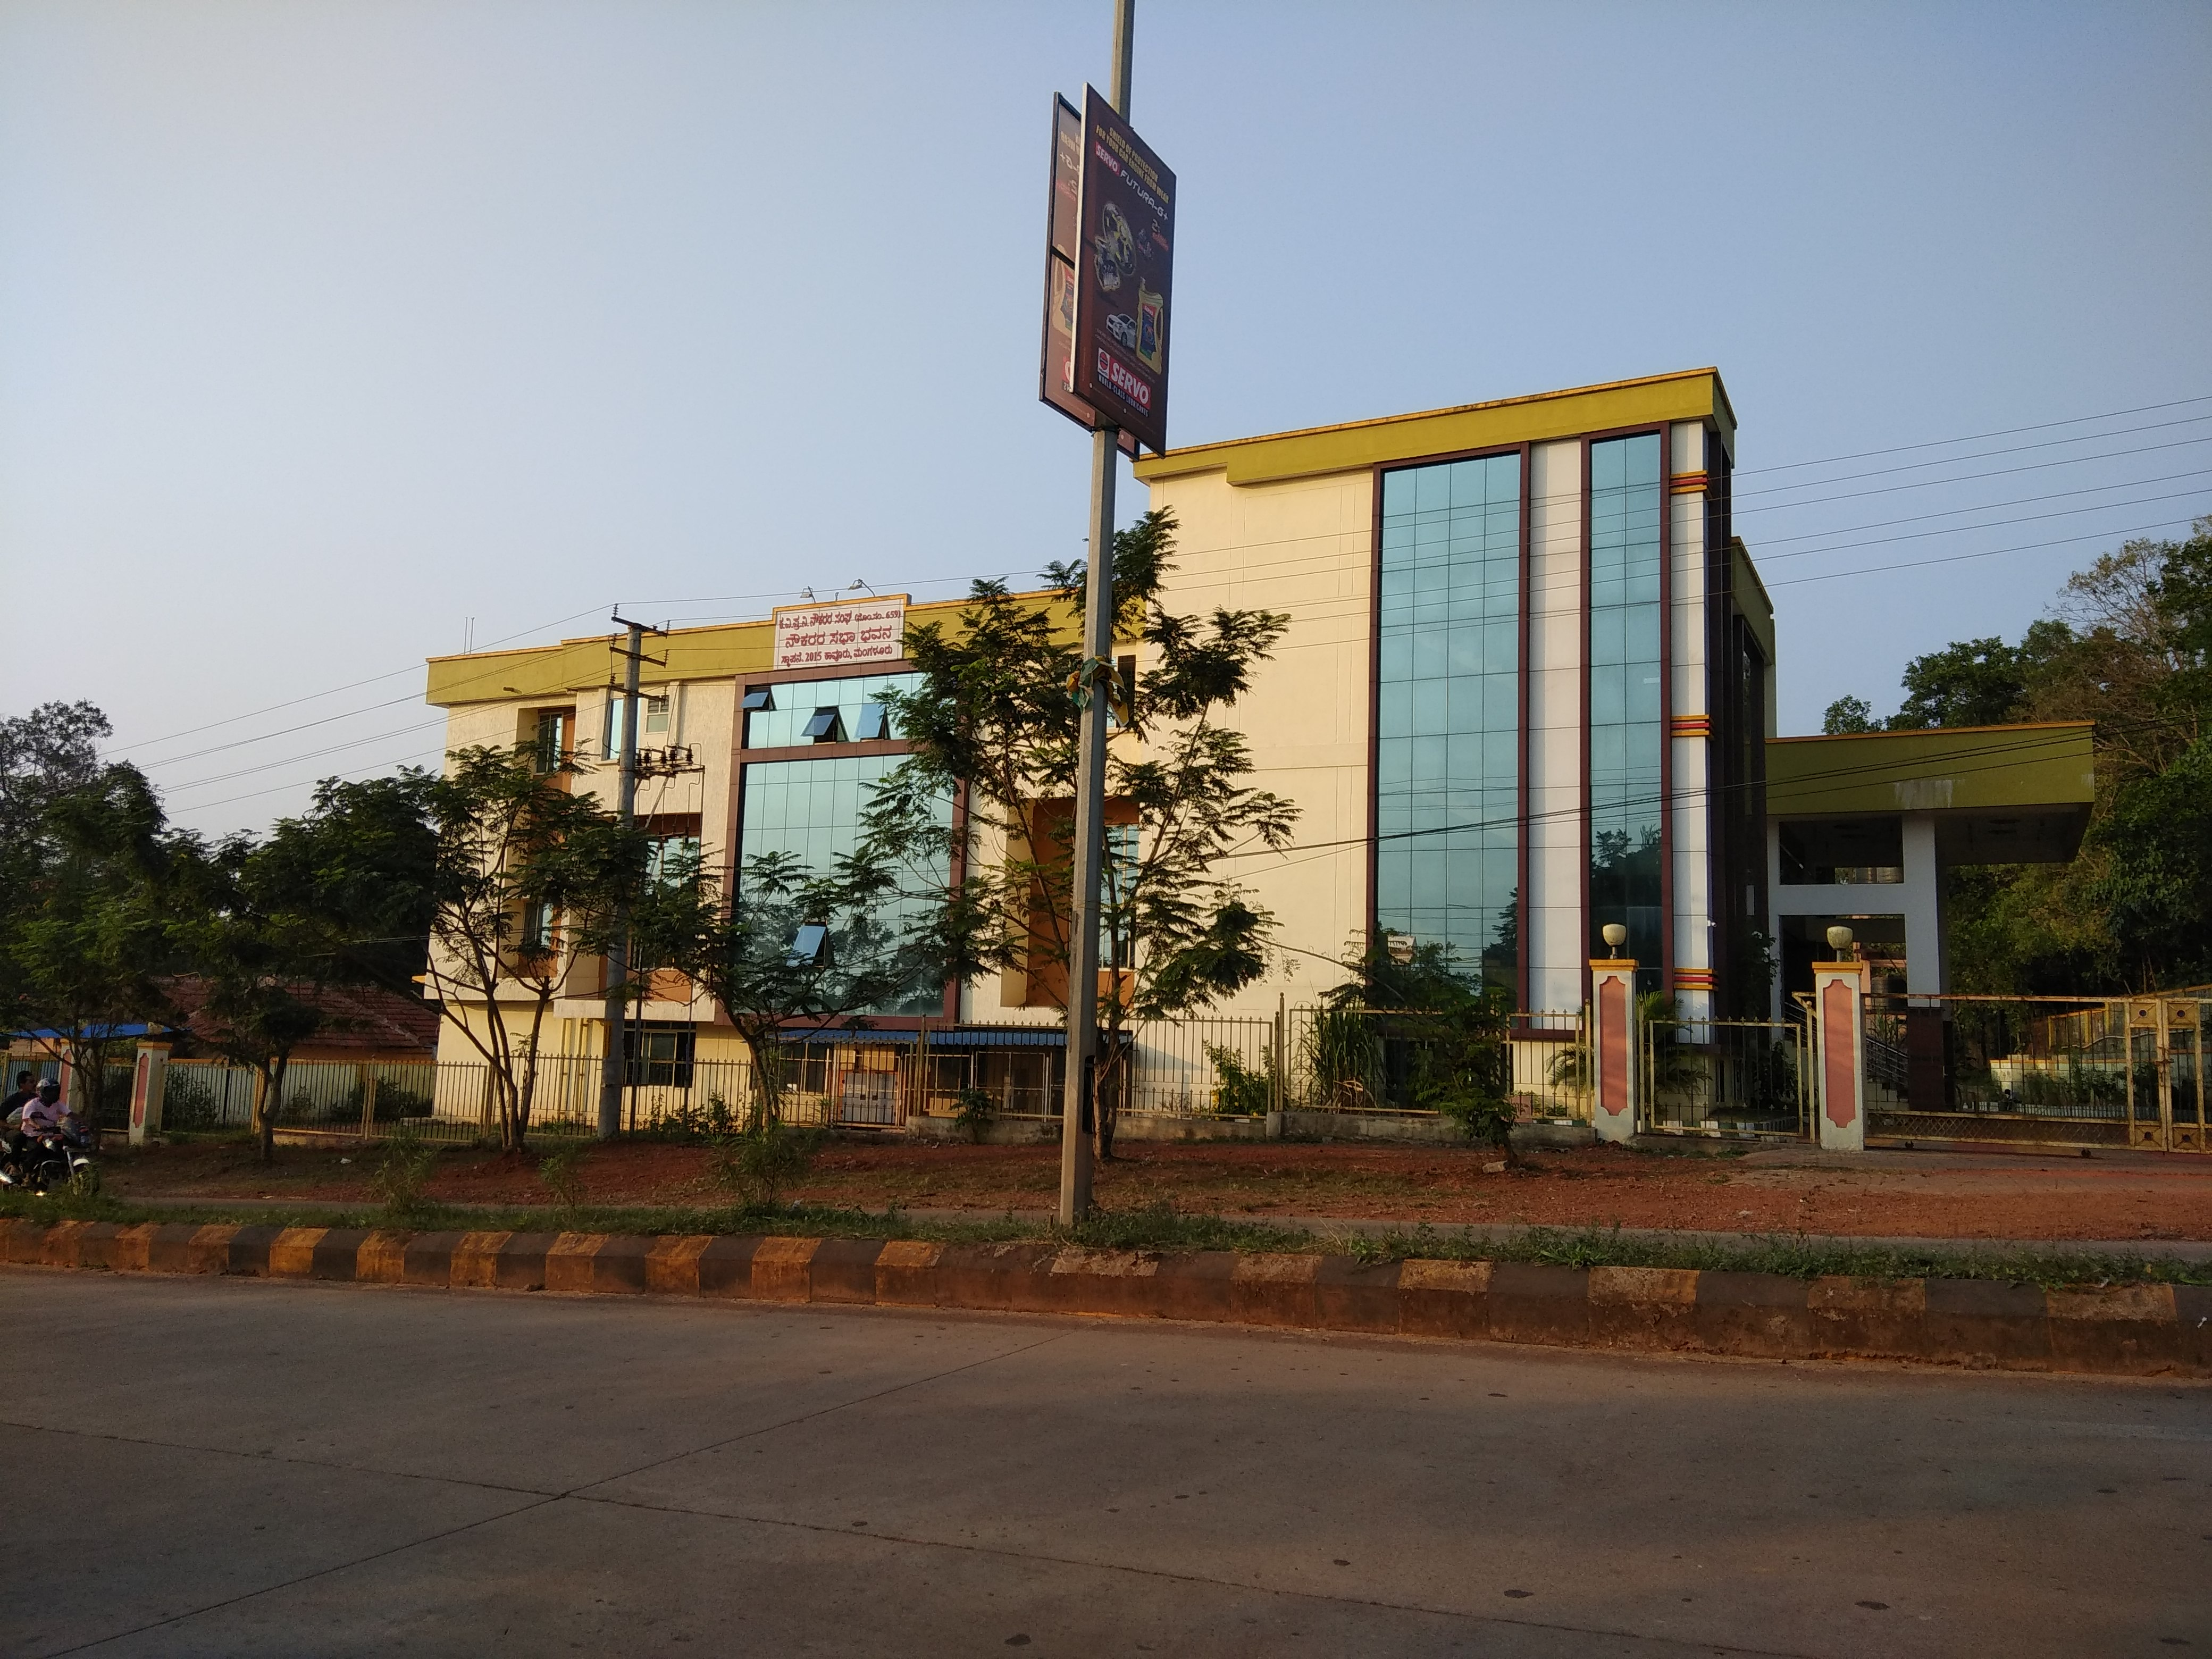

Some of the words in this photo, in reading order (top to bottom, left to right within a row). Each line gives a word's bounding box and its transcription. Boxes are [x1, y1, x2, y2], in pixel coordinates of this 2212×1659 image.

[1094, 372, 1115, 394] WORLD
[1112, 382, 1128, 403] CLASS1
[1105, 359, 1153, 408] SERVO
[1125, 393, 1151, 421] LUBRICANTS
[775, 608, 837, 632] ಕ.ವಿ.ಪ್ರ.ನಿ.ನೌಕರರ
[832, 605, 853, 629] ಸಂಘ
[852, 607, 902, 625] (ಮೊ.ಸಂ.659)
[778, 648, 823, 668] ಸ್ಥಾಪನೆ.2015
[783, 628, 827, 651] ನೌಕರರ
[820, 644, 853, 665] ಕಾವೂರು
[827, 626, 857, 648] ಸಭಾ
[850, 642, 895, 659] ಮಂಗಳೂರು
[856, 623, 894, 645] ಭವನ